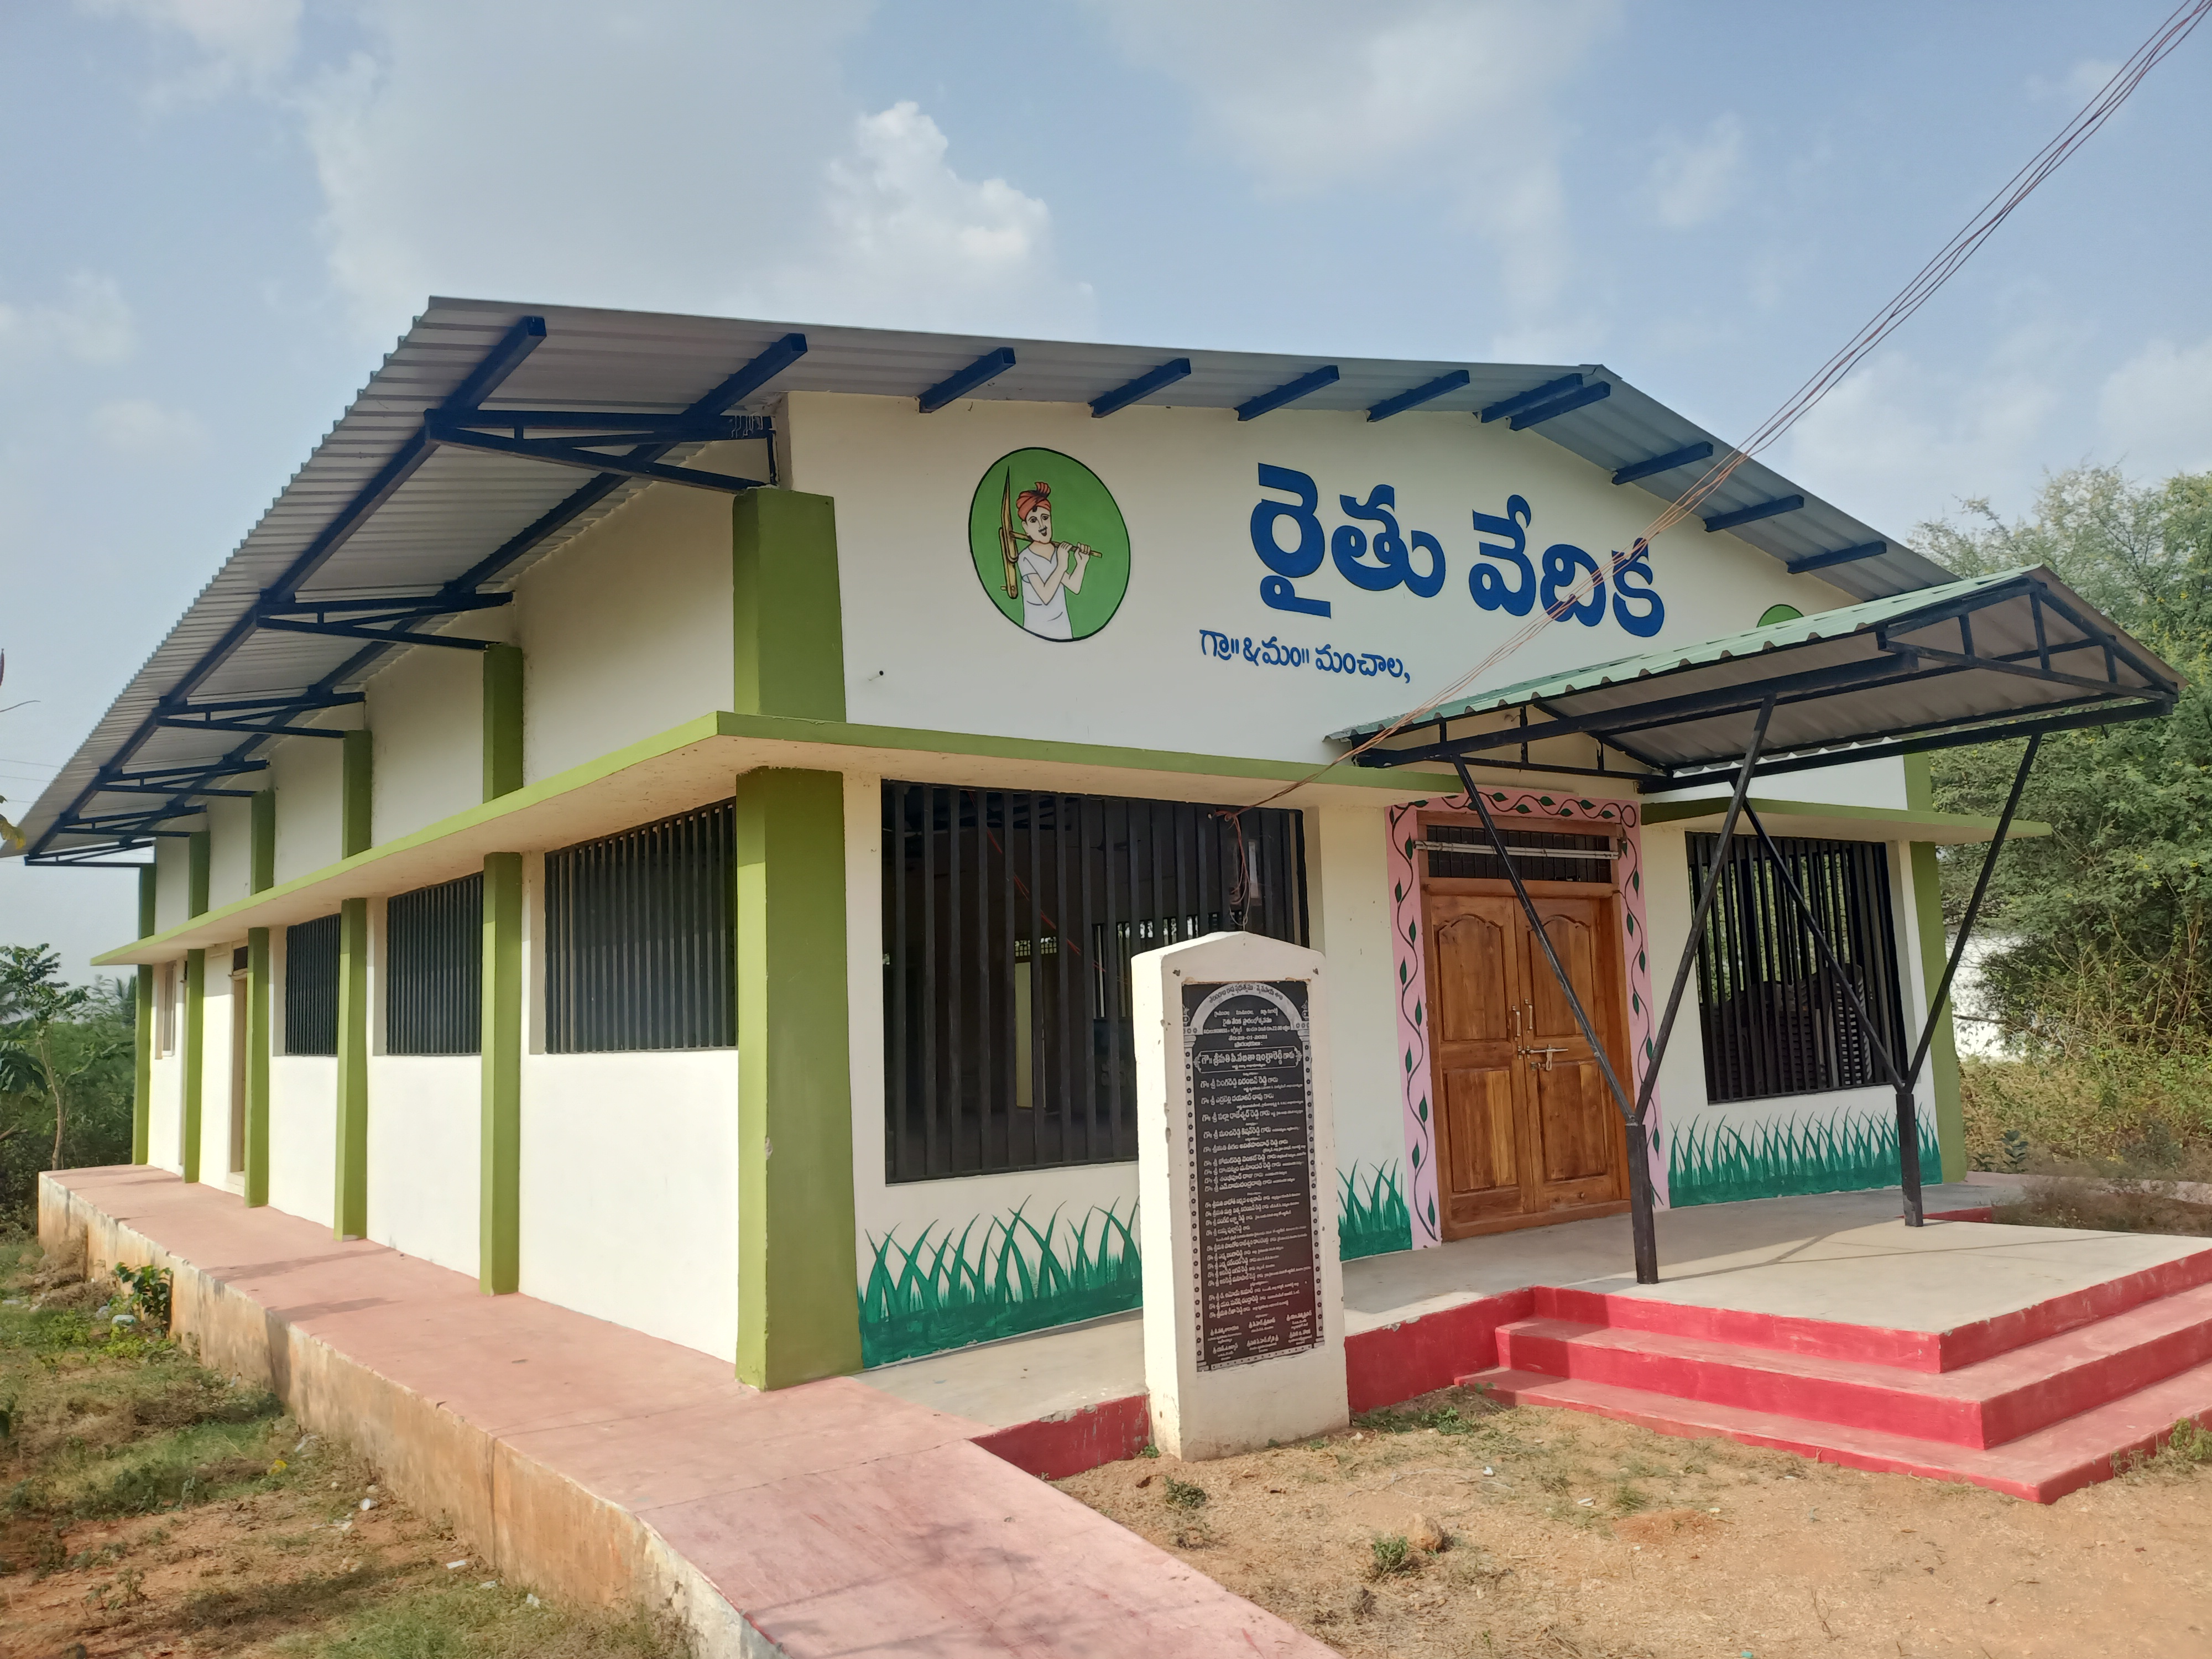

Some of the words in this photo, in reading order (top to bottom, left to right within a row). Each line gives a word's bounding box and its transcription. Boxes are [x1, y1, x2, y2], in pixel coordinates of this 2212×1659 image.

[1241, 455, 1454, 625] రైతు
[1464, 485, 1671, 644] వేదిక
[1193, 621, 1315, 675] గ్రా॥ &మం॥
[1308, 637, 1415, 691] మంచాల,
[1218, 1014, 1244, 1030] రైతు వేదిక
[1240, 1013, 1276, 1029] ప్రారంభోత్సవము
[1230, 1039, 1265, 1052] ప్రారంభరణ
[1196, 1045, 1297, 1068] గౌ|| శ్రీమతి పి.సబితా ఇంద్రారెడ్డి గారు"
[1193, 1074, 1239, 1093] గౌ శ్రీ సింగరెడ్డి
[1235, 1073, 1281, 1089] నిరంజన్ రెడ్డి గారు
[1230, 1090, 1277, 1107] దయాకర్ రావు గారు
[1199, 1107, 1261, 1125] గౌ శ్రీ పల్లా రాజేశ్వర్ రెడ్డి
[1259, 1108, 1272, 1118] గామ
[1199, 1124, 1262, 1143] గౌ శ్రీ మంచిరెడ్డి కిషన్ రెడ్డి
[1216, 1153, 1244, 1170] కోమదరెడ్డ